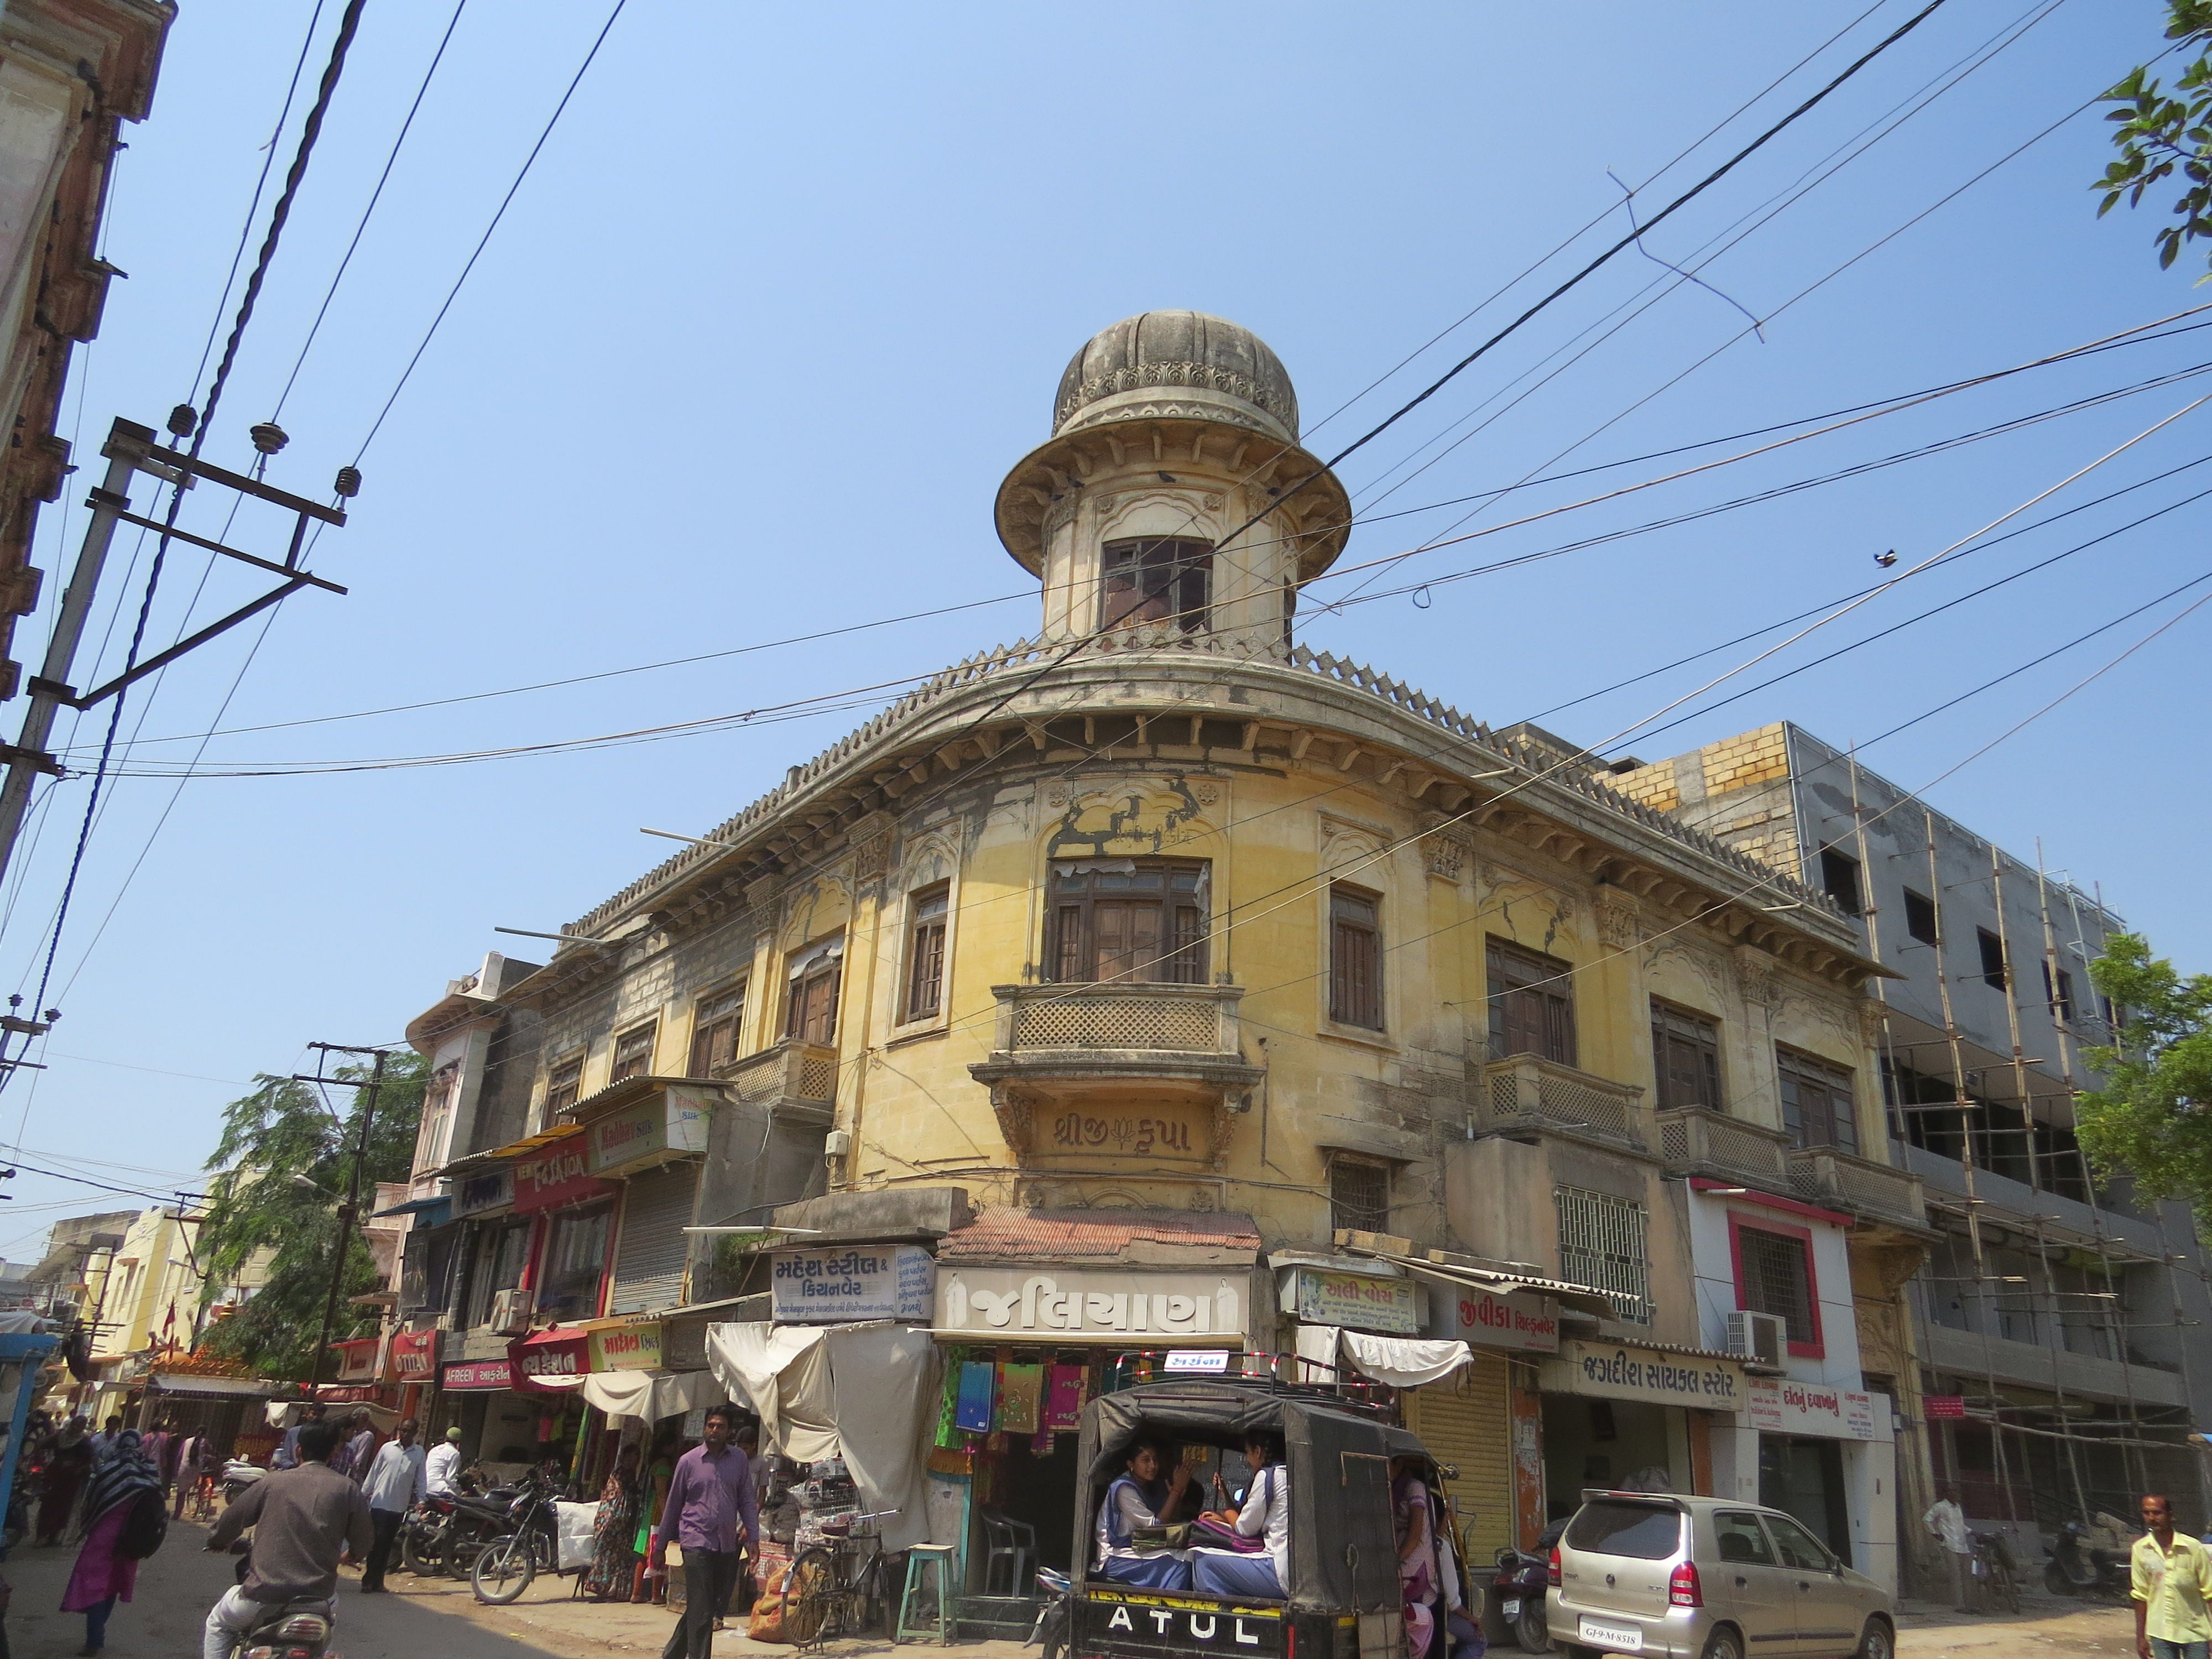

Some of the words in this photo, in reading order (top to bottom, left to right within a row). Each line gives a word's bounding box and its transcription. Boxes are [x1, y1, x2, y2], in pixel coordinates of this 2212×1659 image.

[599, 1119, 636, 1152] Madhav
[634, 1118, 654, 1138] Silk
[680, 1110, 698, 1121] Silk
[672, 1094, 708, 1110] Madhav
[1052, 1109, 1113, 1154] શ્રીજી
[1128, 1116, 1197, 1156] કૃપા
[514, 1160, 533, 1182] NEW
[533, 1147, 590, 1194] Fashion
[772, 1254, 825, 1279] મહેશ
[825, 1249, 880, 1276] સ્ટીલ
[879, 1256, 889, 1273] &
[798, 1276, 865, 1297] કિયનવેર
[967, 1274, 1215, 1333] જલિયાણ
[1323, 1277, 1360, 1301] અલી
[1363, 1279, 1394, 1306] बोस
[1454, 1293, 1514, 1331] જીવીકા
[1511, 1307, 1558, 1339] ચિલ્ડ્રનવેર
[602, 1331, 640, 1355] માધવ
[639, 1329, 662, 1353] સિલ્ક
[443, 1366, 476, 1384] AFREEN
[477, 1364, 511, 1383] આફરીન
[518, 1355, 540, 1375] ન્ય
[536, 1344, 577, 1373] ફેશન
[1170, 1353, 1221, 1367] અર્થના
[1577, 1347, 1644, 1390] જગદીશ
[1643, 1359, 1702, 1396] સાયકલ
[1702, 1362, 1743, 1397] સ્ટોર.
[1780, 1384, 1809, 1416] દાંતનું
[1806, 1390, 1842, 1420] દવાઆનું
[1098, 1600, 1136, 1635] A
[1142, 1604, 1177, 1640] T
[1181, 1609, 1222, 1641] U
[1225, 1614, 1261, 1647] L
[1582, 1624, 1597, 1639] GJ
[1595, 1627, 1606, 1641] 9.
[1603, 1630, 1616, 1642] M
[1614, 1631, 1639, 1647] 8518